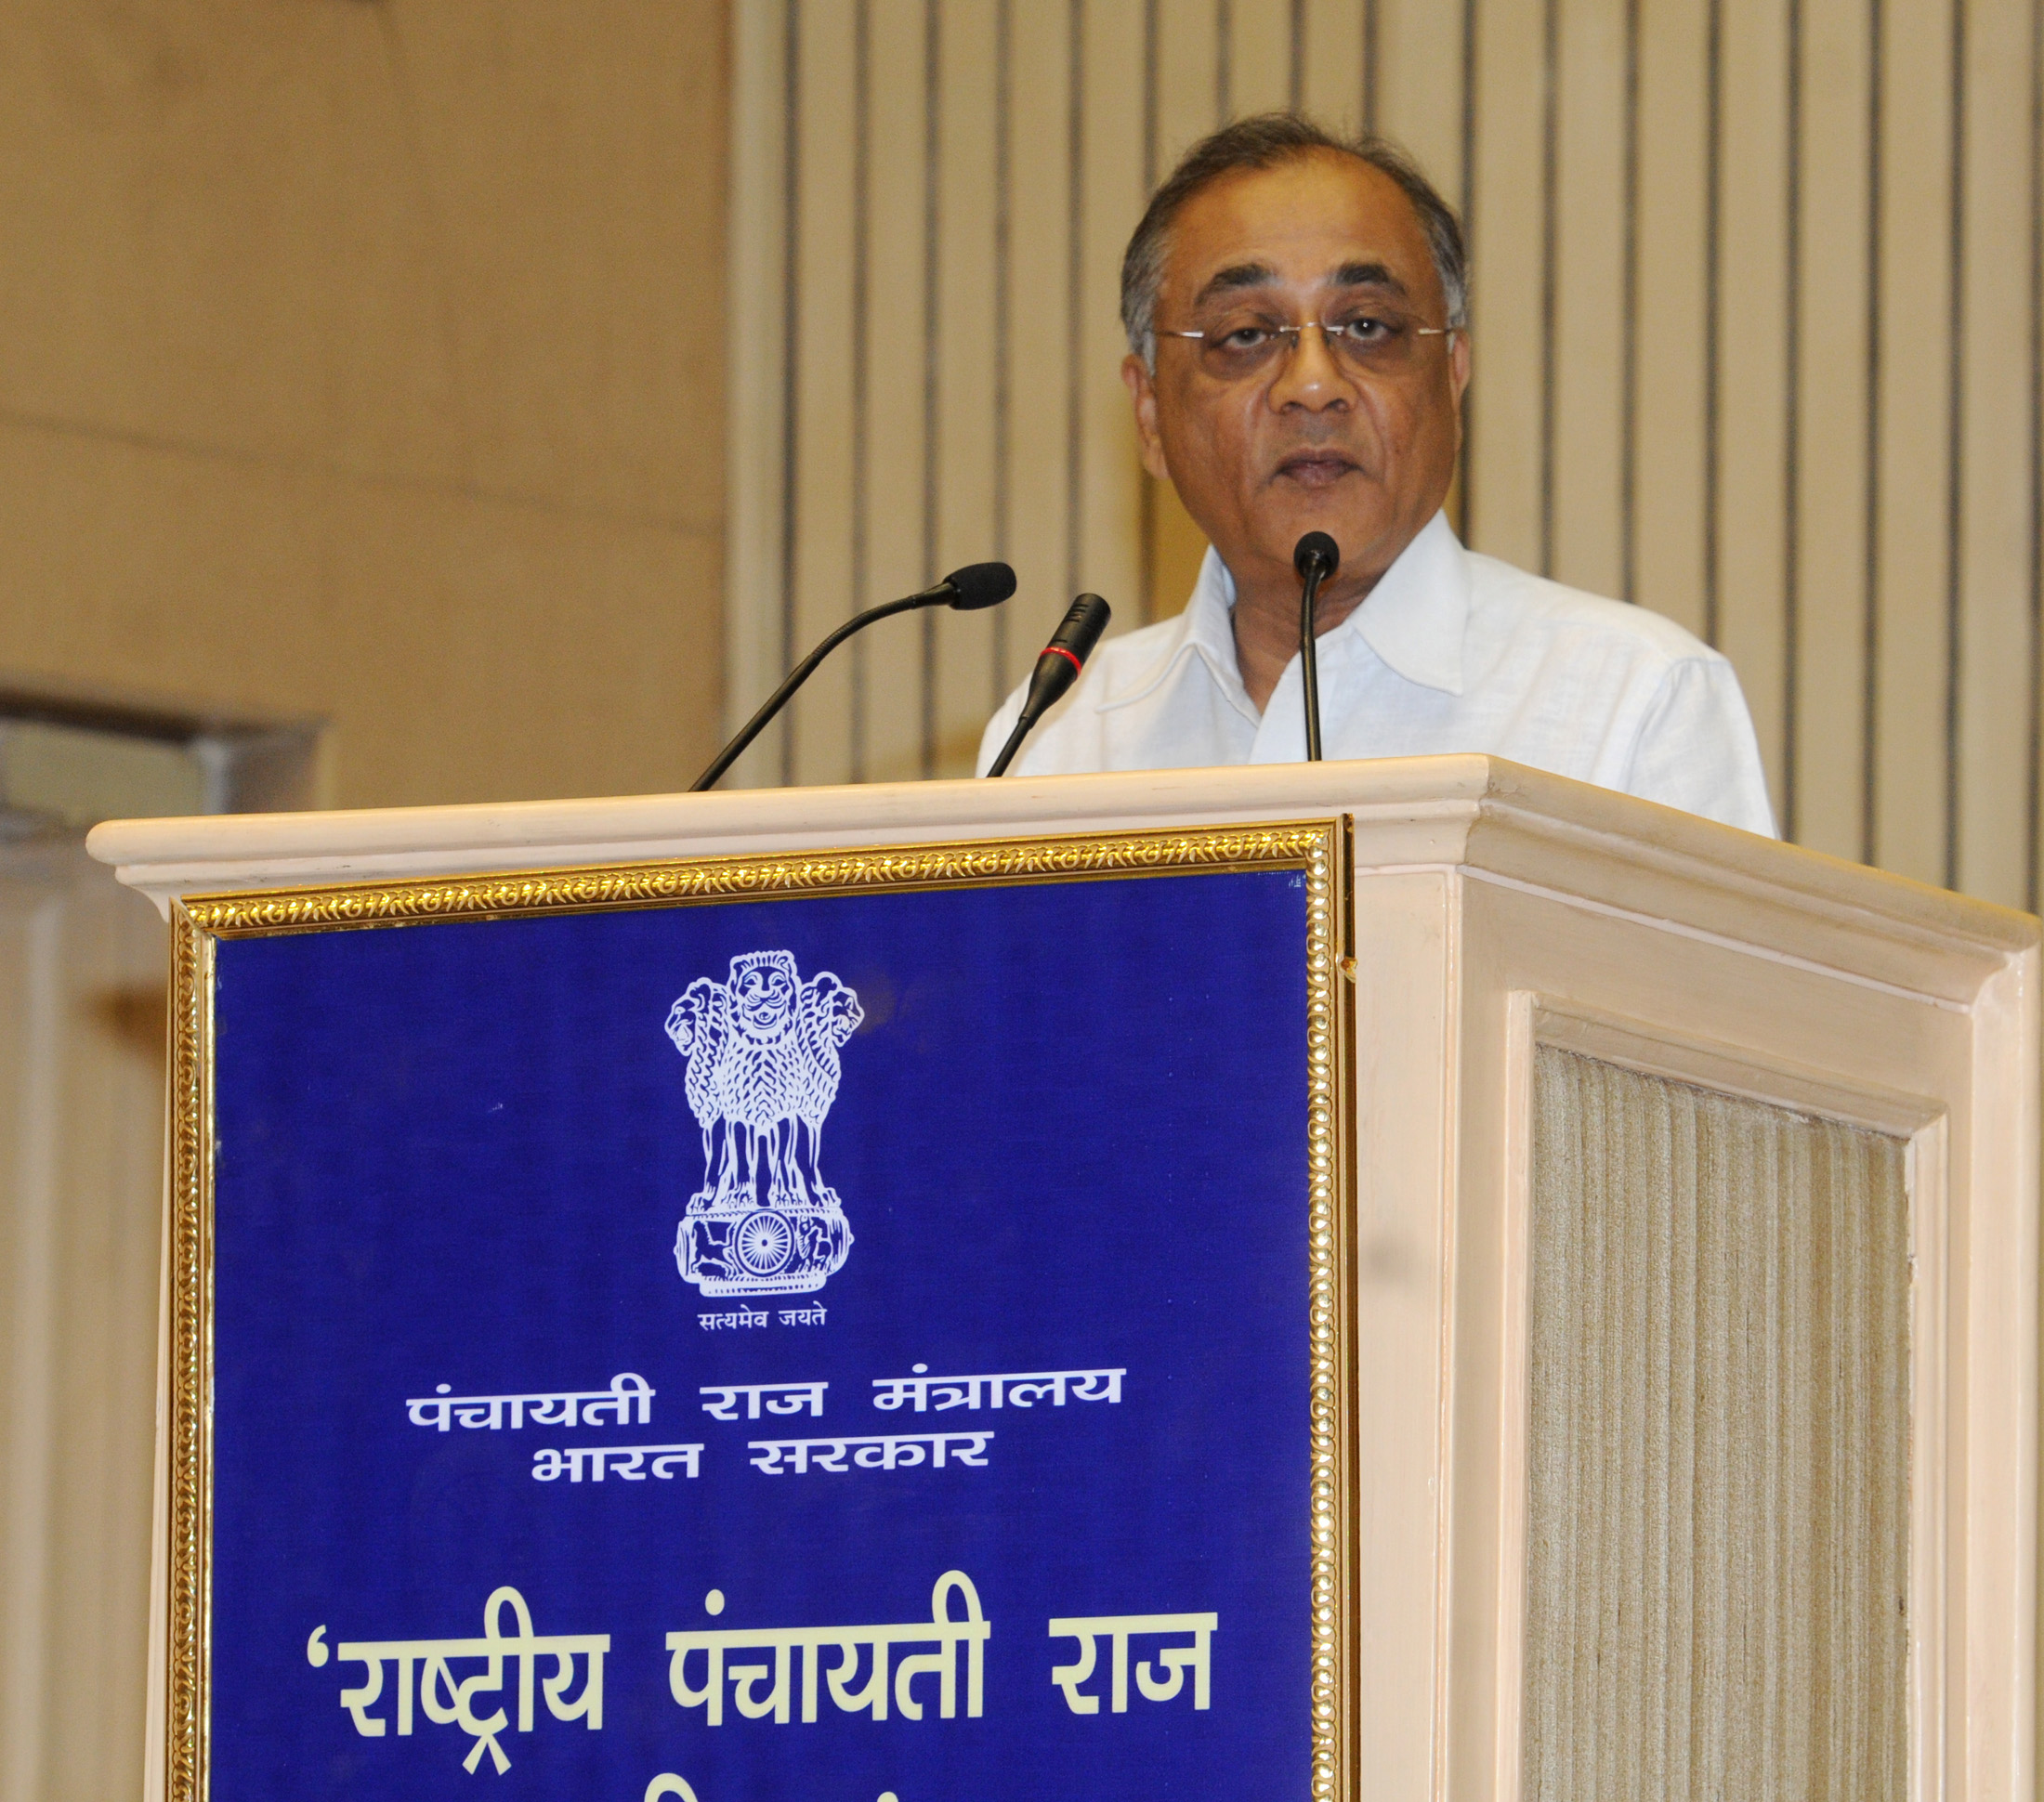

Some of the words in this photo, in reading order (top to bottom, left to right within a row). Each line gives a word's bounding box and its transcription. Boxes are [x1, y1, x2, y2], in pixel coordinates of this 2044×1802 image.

[696, 1299, 772, 1338] सत्यमेव
[777, 1296, 829, 1334] जयते
[404, 1368, 656, 1436] पंचायती
[696, 1378, 832, 1426] राज
[870, 1361, 1131, 1418] मंत्रालय
[525, 1442, 709, 1489] भारत
[748, 1430, 995, 1480] सरकार
[335, 1581, 615, 1782] राष्ट्रीय
[662, 1569, 995, 1729] पंचायती
[1046, 1611, 1220, 1721] राज